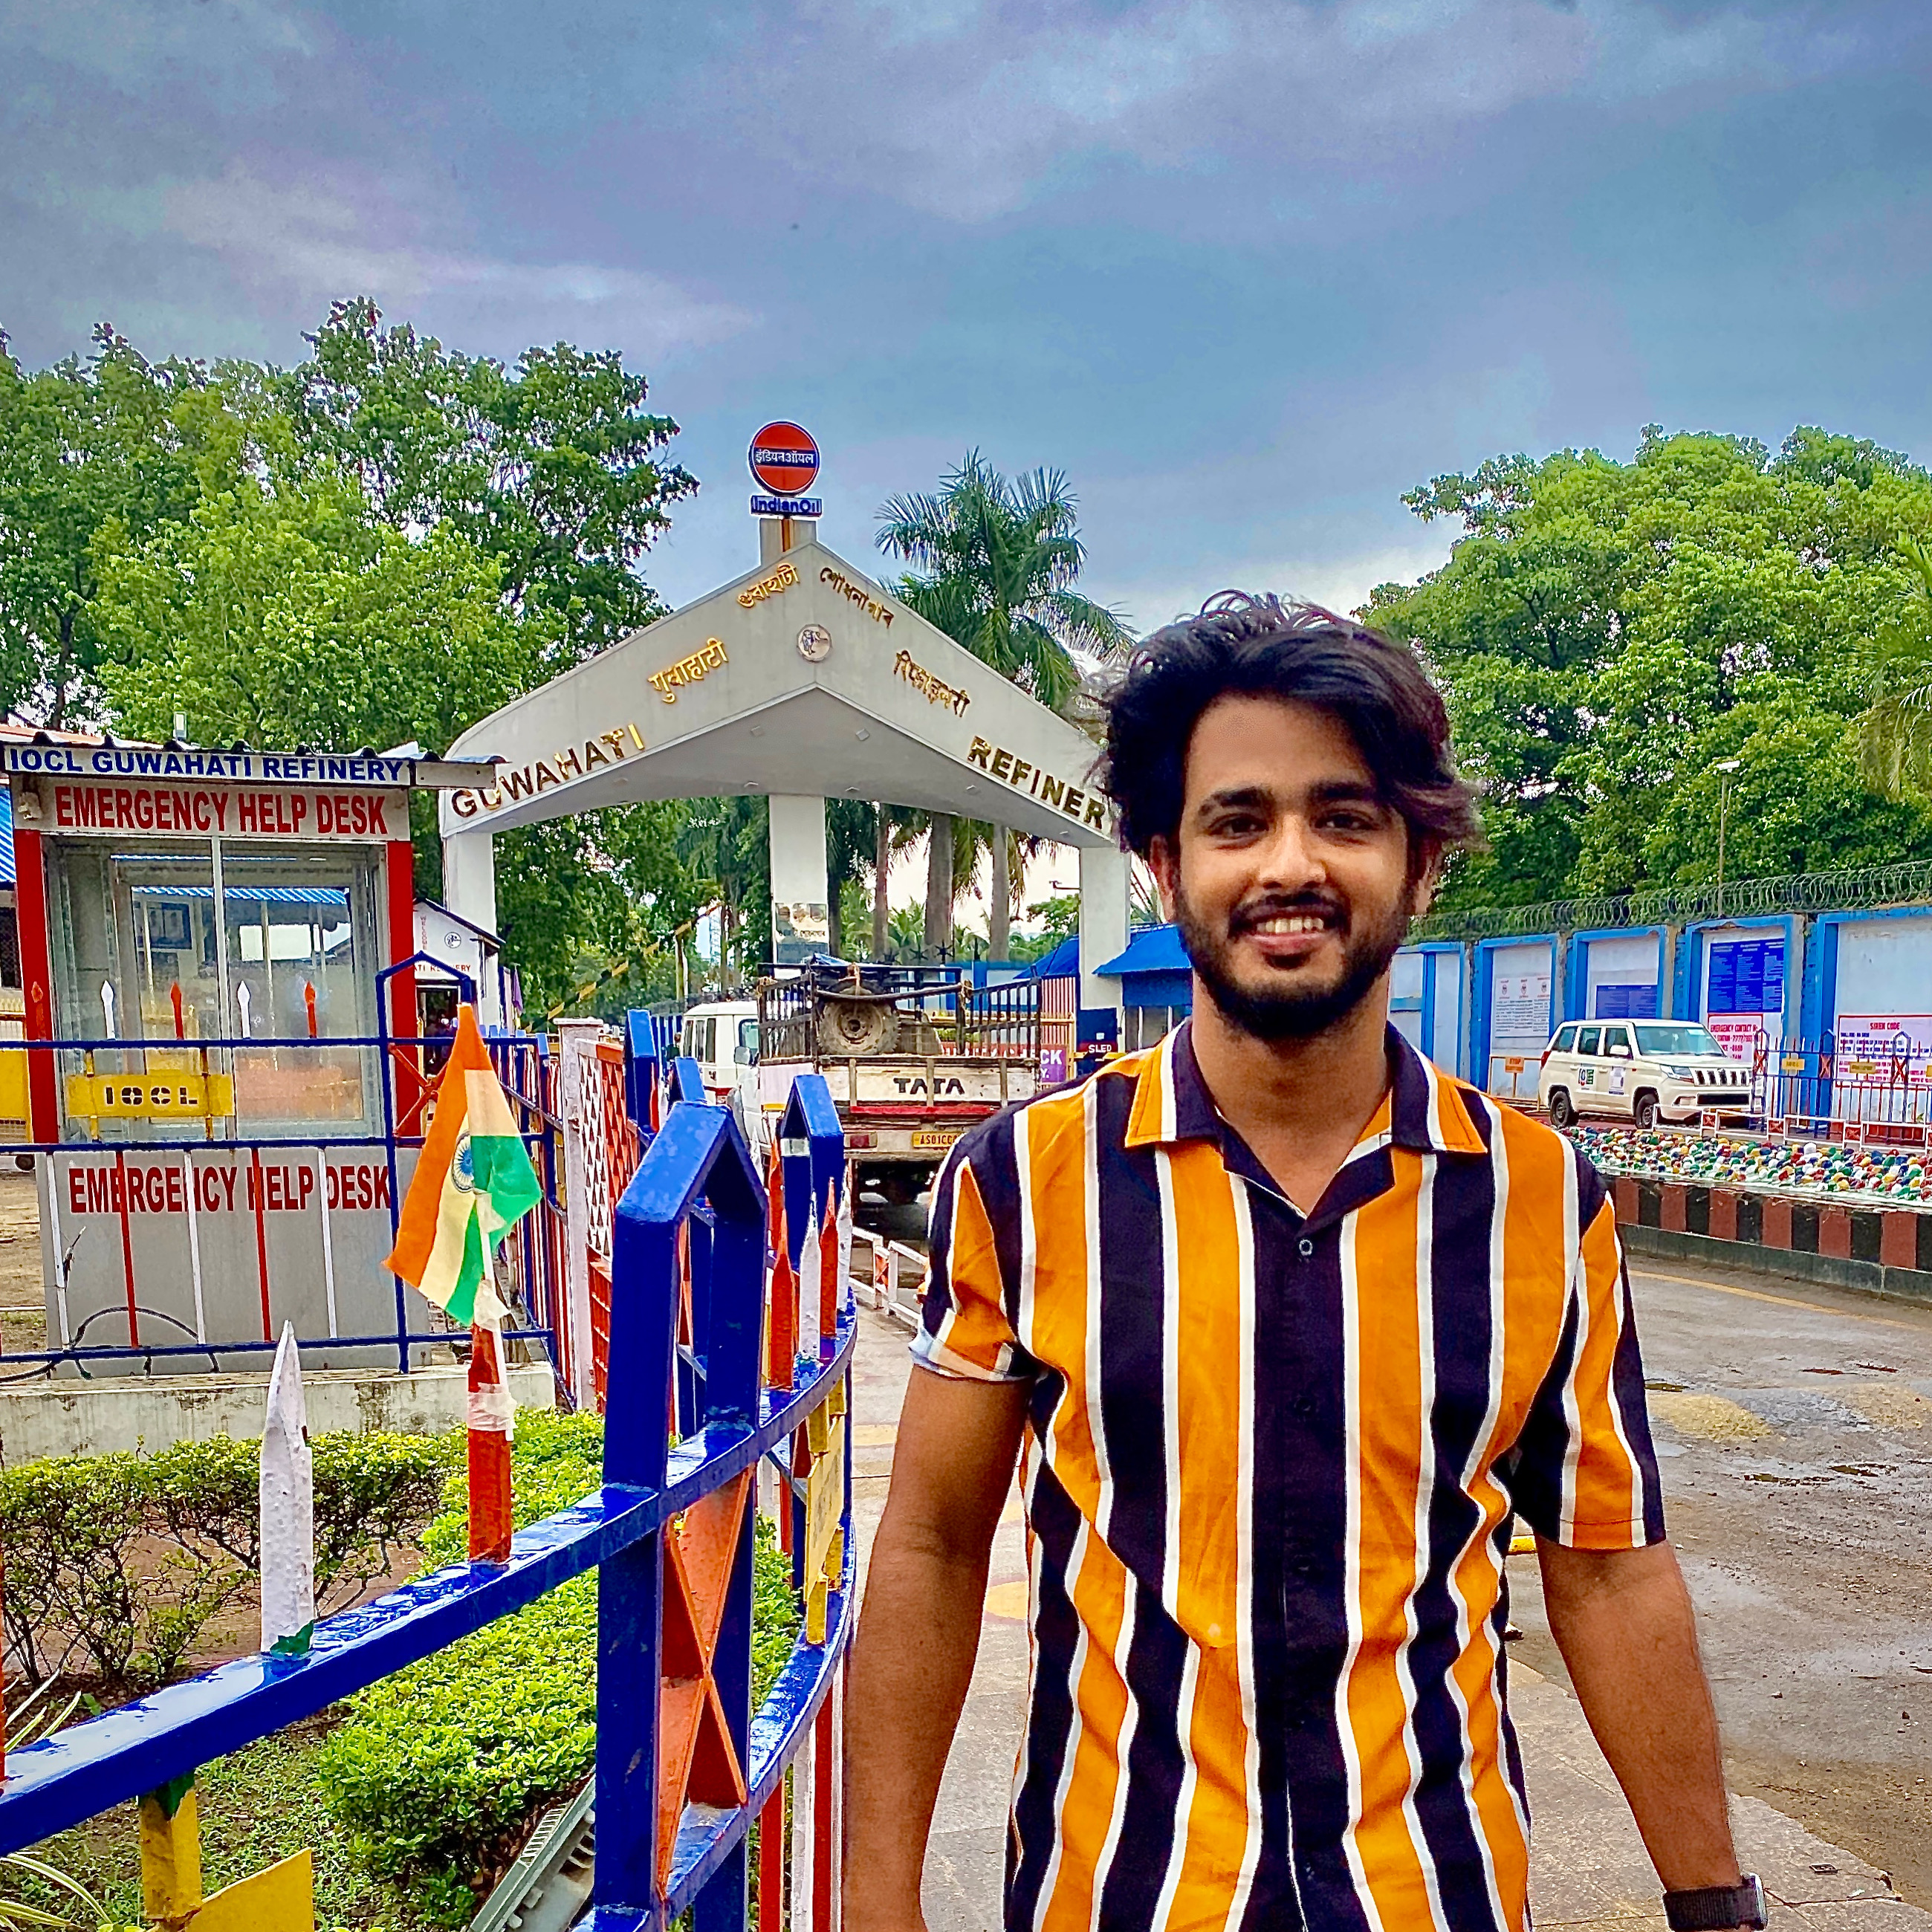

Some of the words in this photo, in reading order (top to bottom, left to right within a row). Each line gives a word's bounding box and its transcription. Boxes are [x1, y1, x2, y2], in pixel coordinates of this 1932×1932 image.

[751, 442, 789, 467] इंडियन
[780, 447, 817, 466] ऑयल
[751, 493, 822, 518] IndianOil
[732, 555, 803, 612] গুৱাহাটী
[814, 563, 898, 632] শোধনাগাৰ
[644, 633, 733, 707] गुवाहाटी
[888, 649, 974, 722] रिफाइनरी
[10, 745, 89, 778] IOCL
[88, 746, 254, 782] GUWAHATI
[259, 755, 406, 784] REFINERY
[442, 720, 649, 824] GUWAHATI
[962, 734, 1111, 832] REFINER
[52, 784, 231, 833] EMERGENCY
[231, 788, 311, 836] HELP
[314, 791, 392, 839] DESK
[102, 1083, 202, 1110] IOCL
[67, 1159, 240, 1220] EMERGENCY
[239, 1150, 320, 1218] HELP
[317, 1153, 399, 1221] DESK